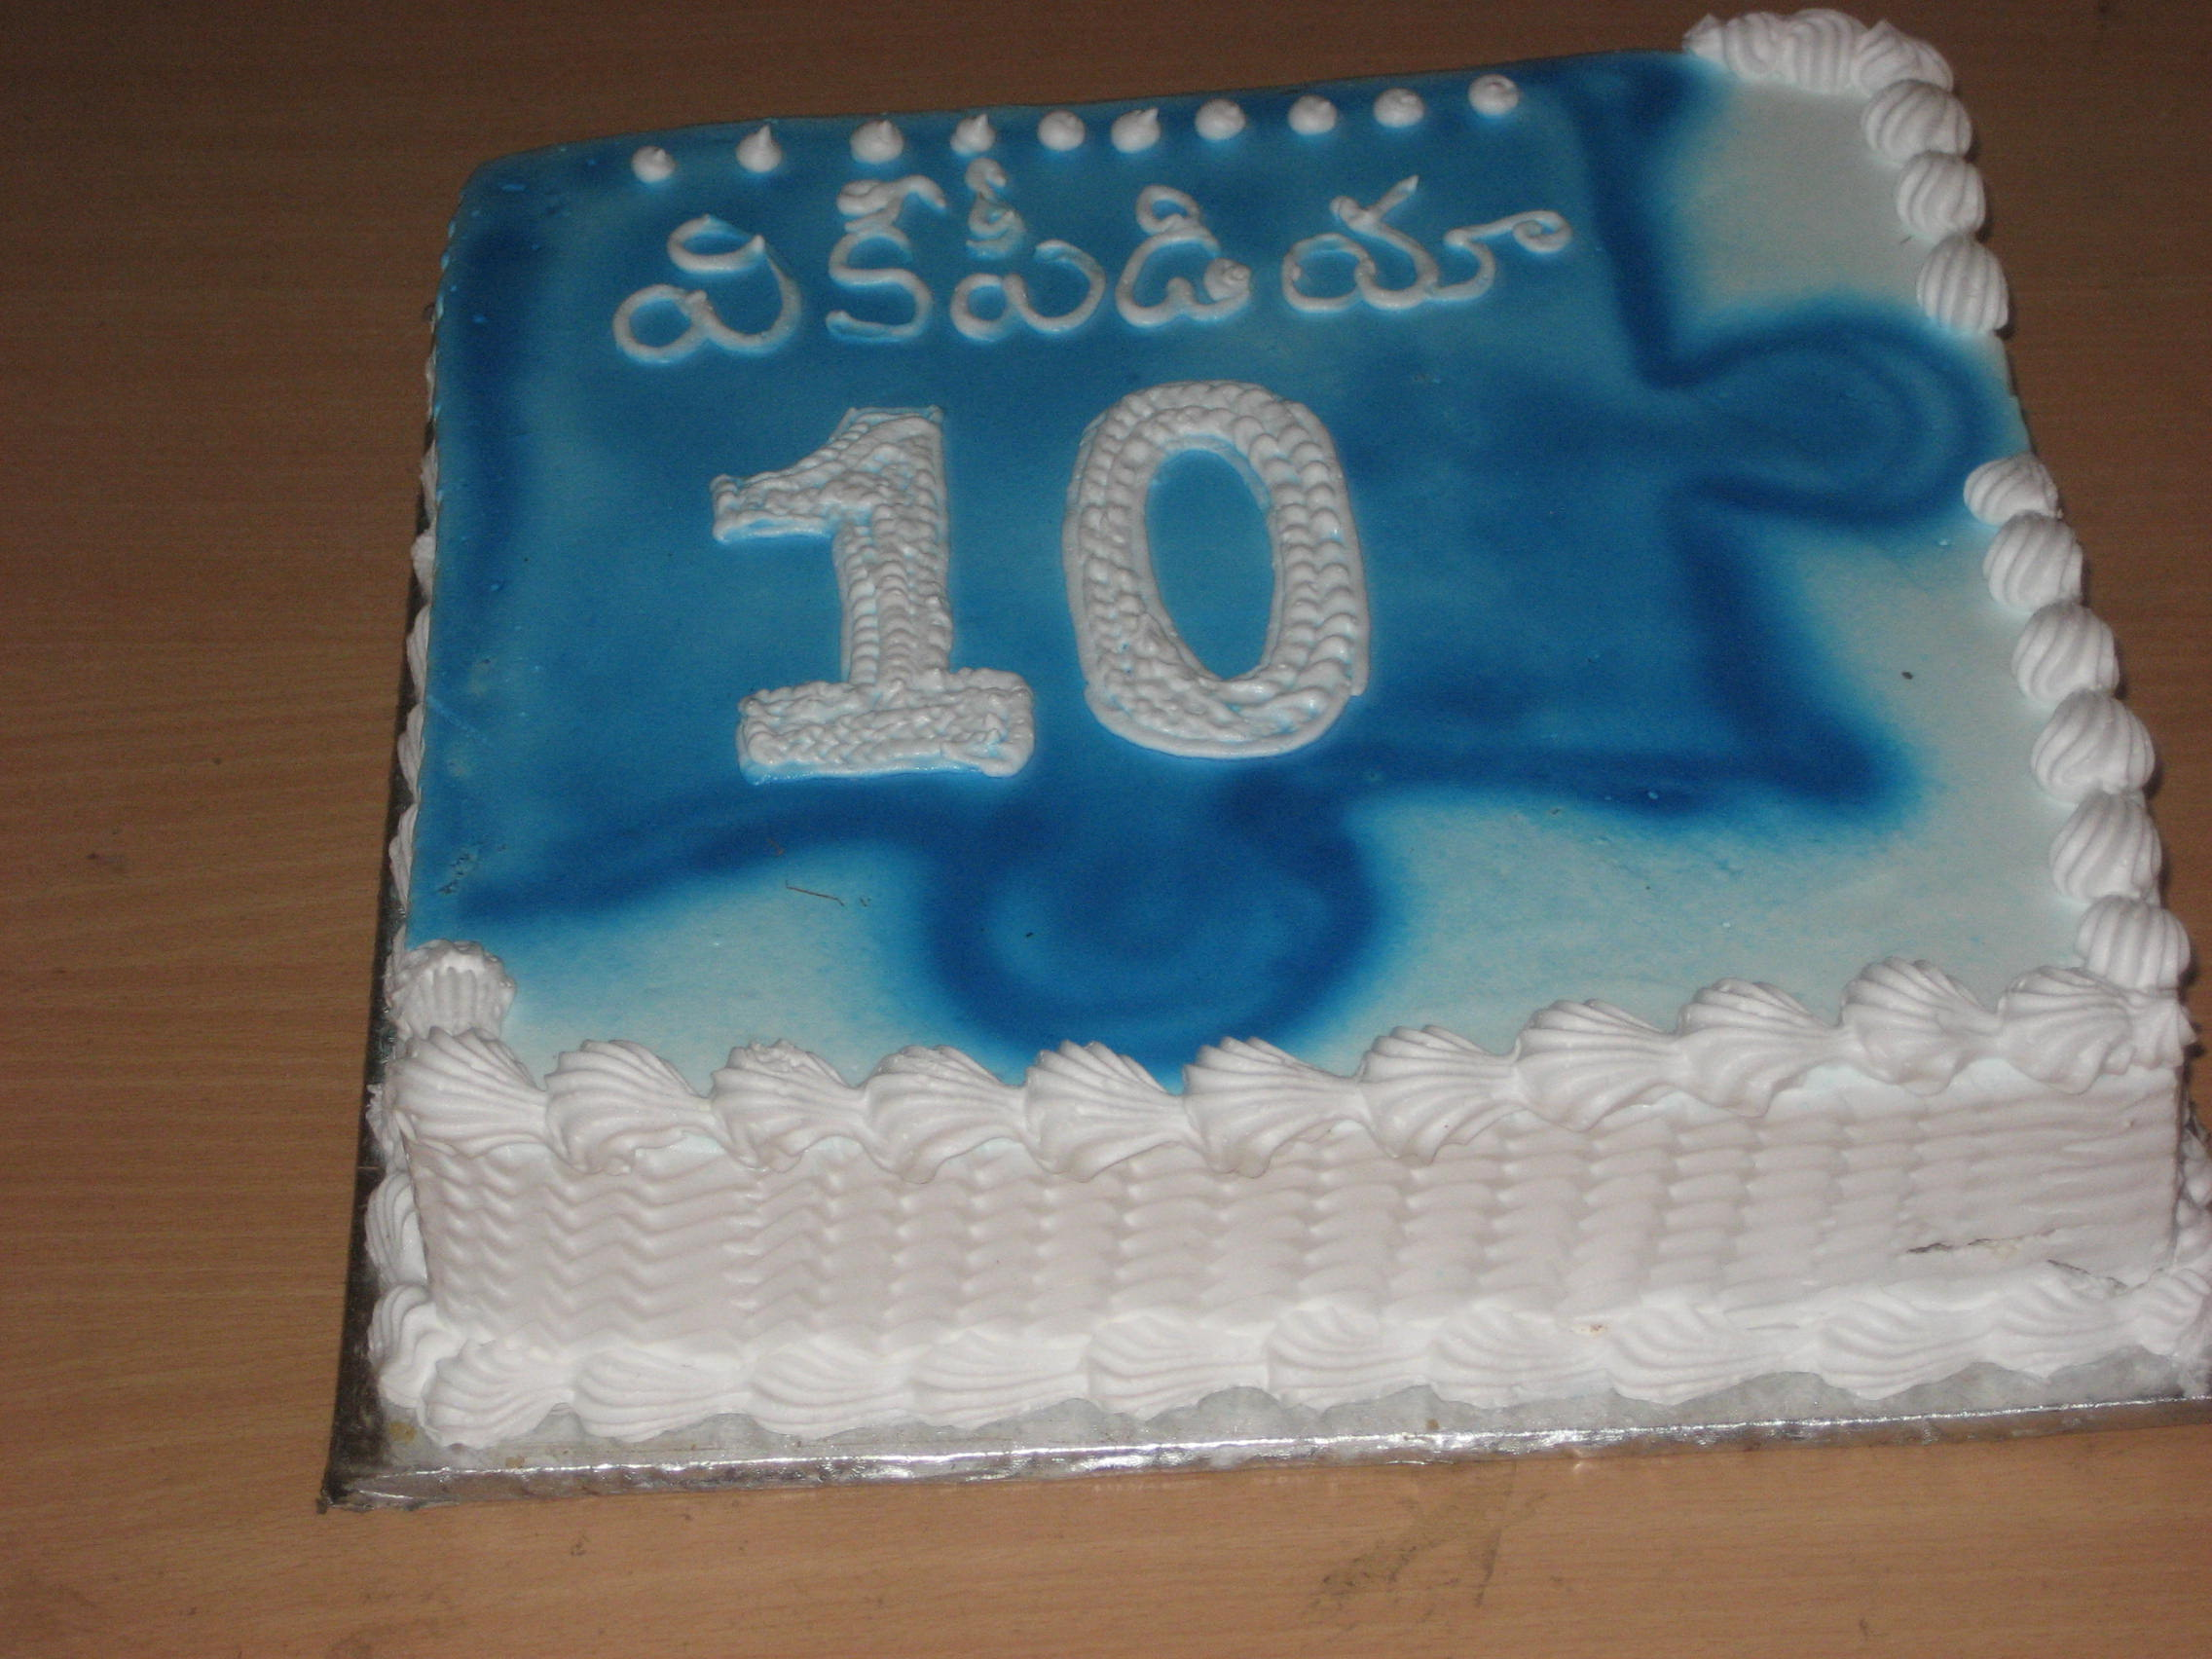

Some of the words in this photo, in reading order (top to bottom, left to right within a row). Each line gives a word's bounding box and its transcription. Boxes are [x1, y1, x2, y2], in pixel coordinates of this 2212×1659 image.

[582, 144, 1581, 374] వికీపీడియా
[703, 362, 1379, 798] 10